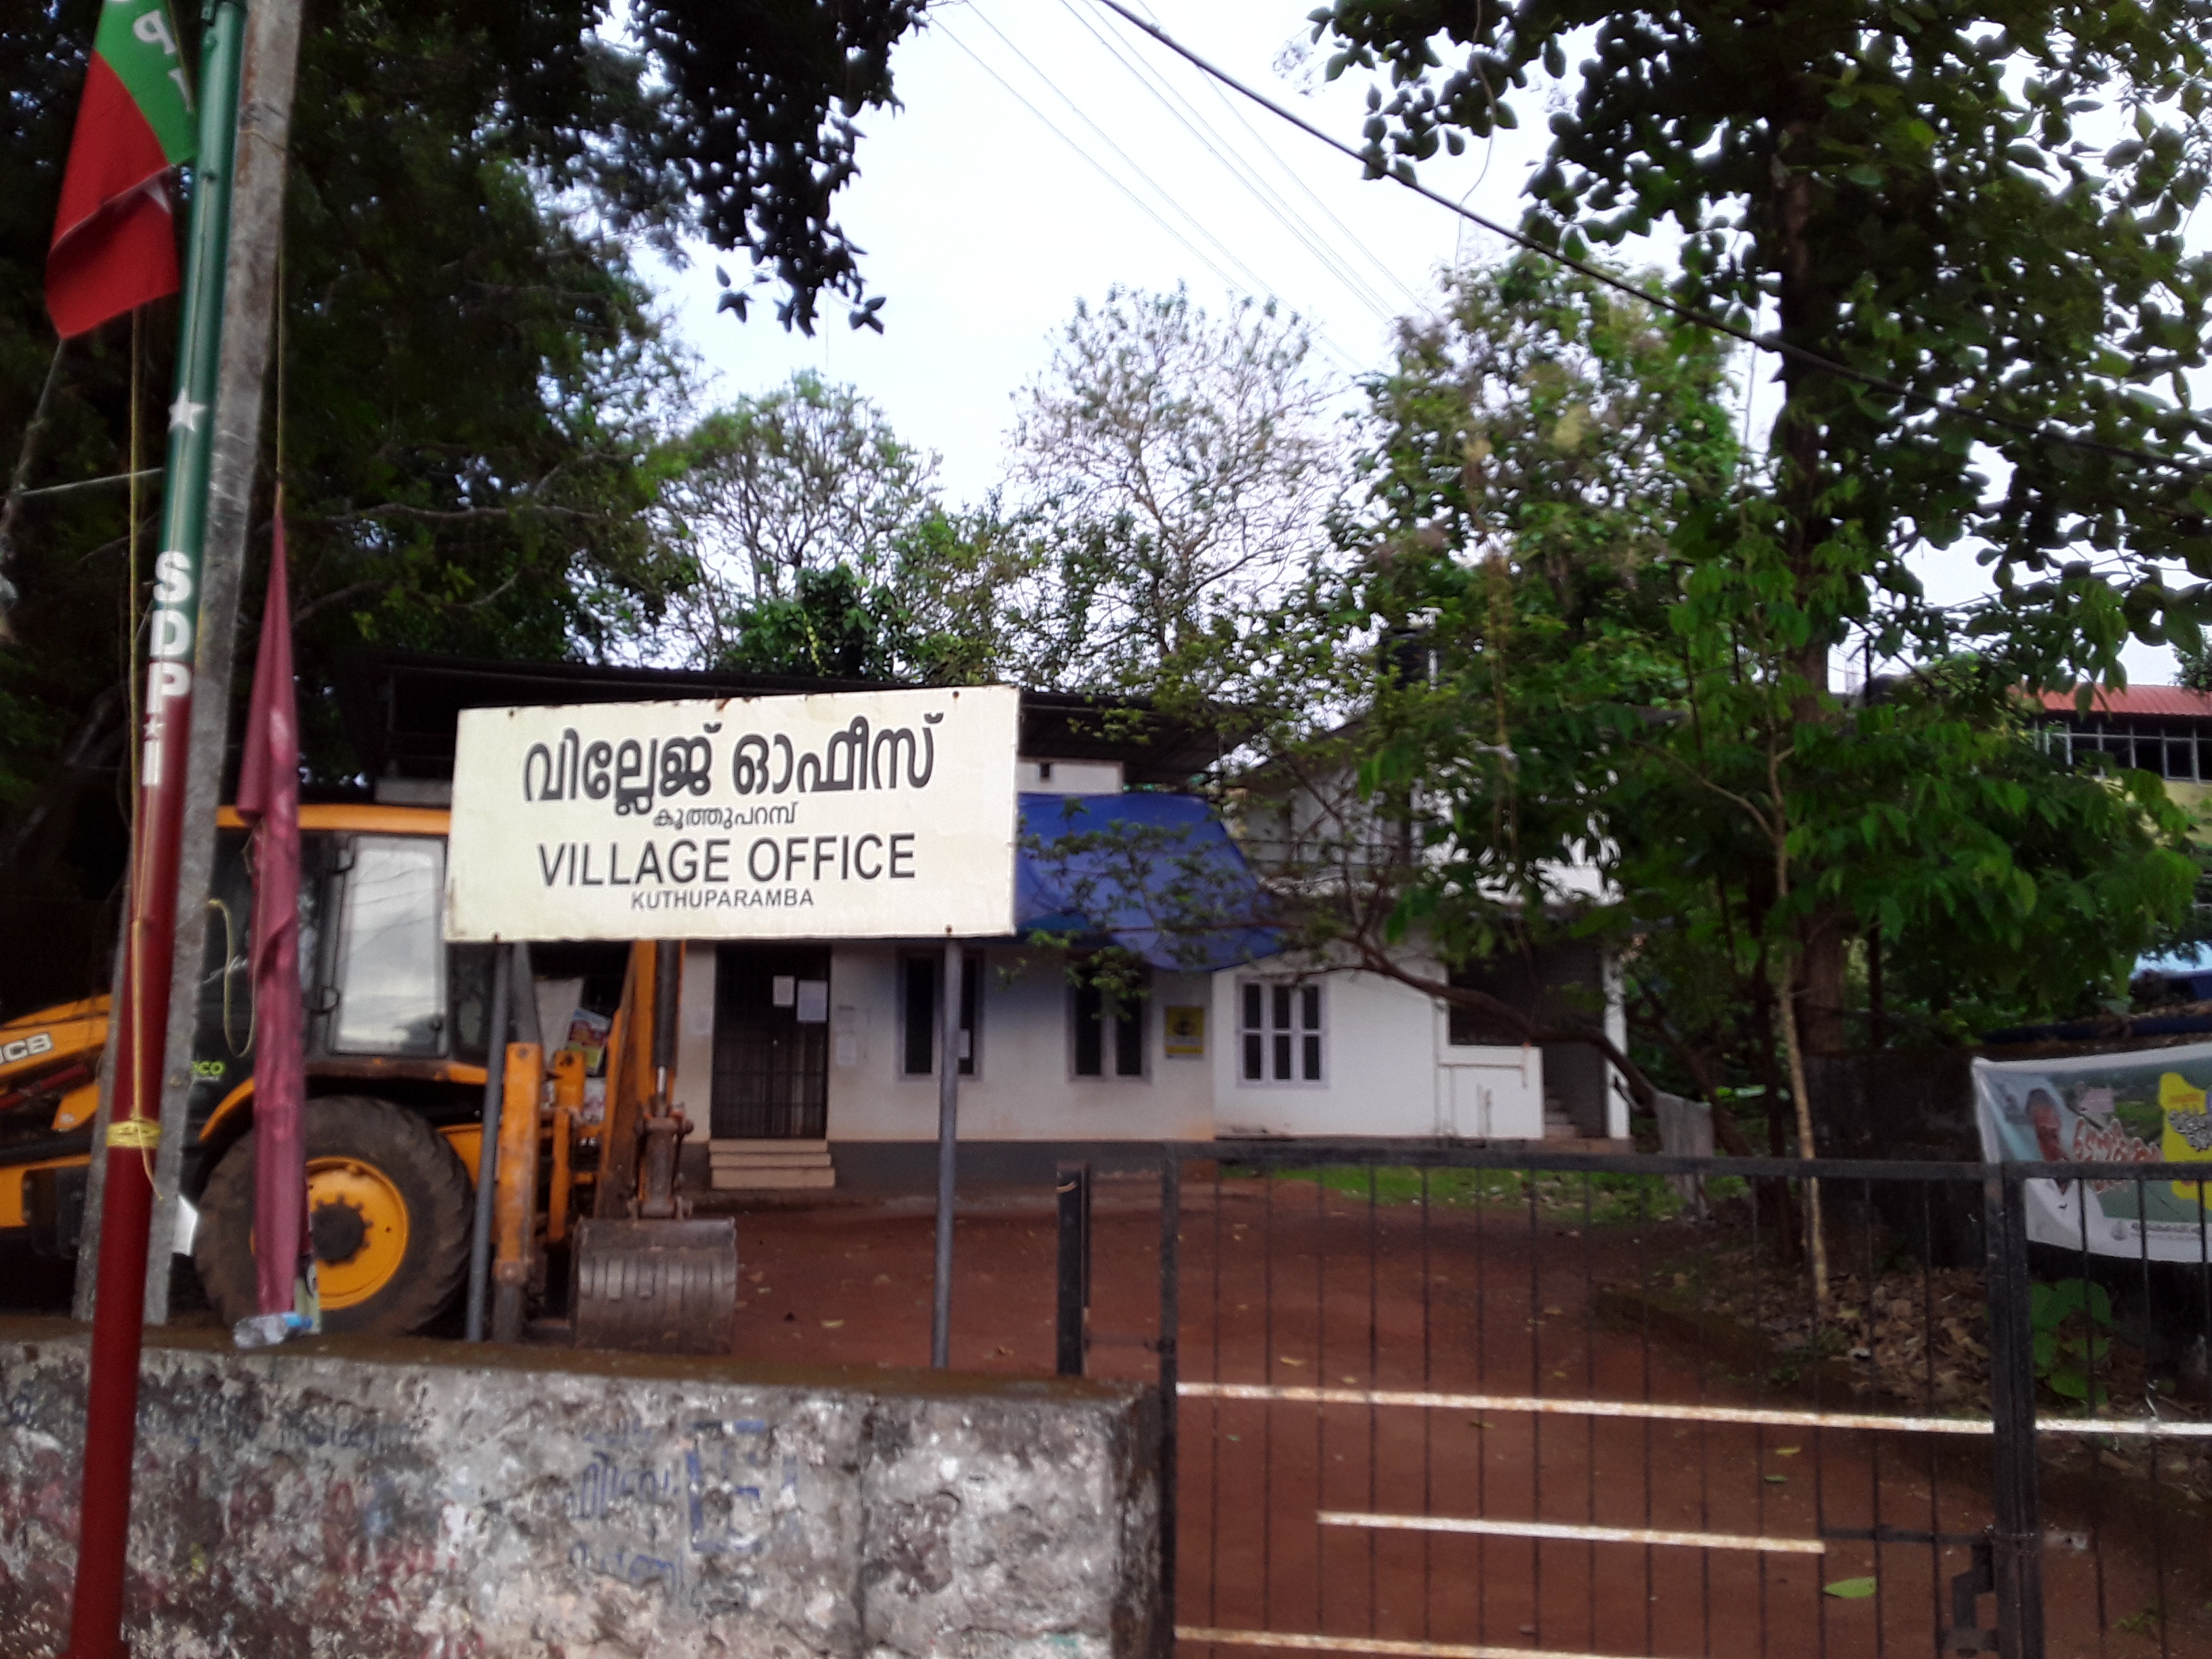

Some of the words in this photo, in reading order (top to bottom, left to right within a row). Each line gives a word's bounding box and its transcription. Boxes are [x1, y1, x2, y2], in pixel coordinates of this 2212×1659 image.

[513, 719, 724, 820] വില്ലേജ്
[728, 706, 954, 800] ഓഫീസ്
[649, 797, 803, 835] കൂത്തുപറമ്പ്
[533, 836, 733, 893] VILLAGE
[743, 827, 917, 888] OFFICE
[622, 886, 819, 915] KUTHUPARAMBA